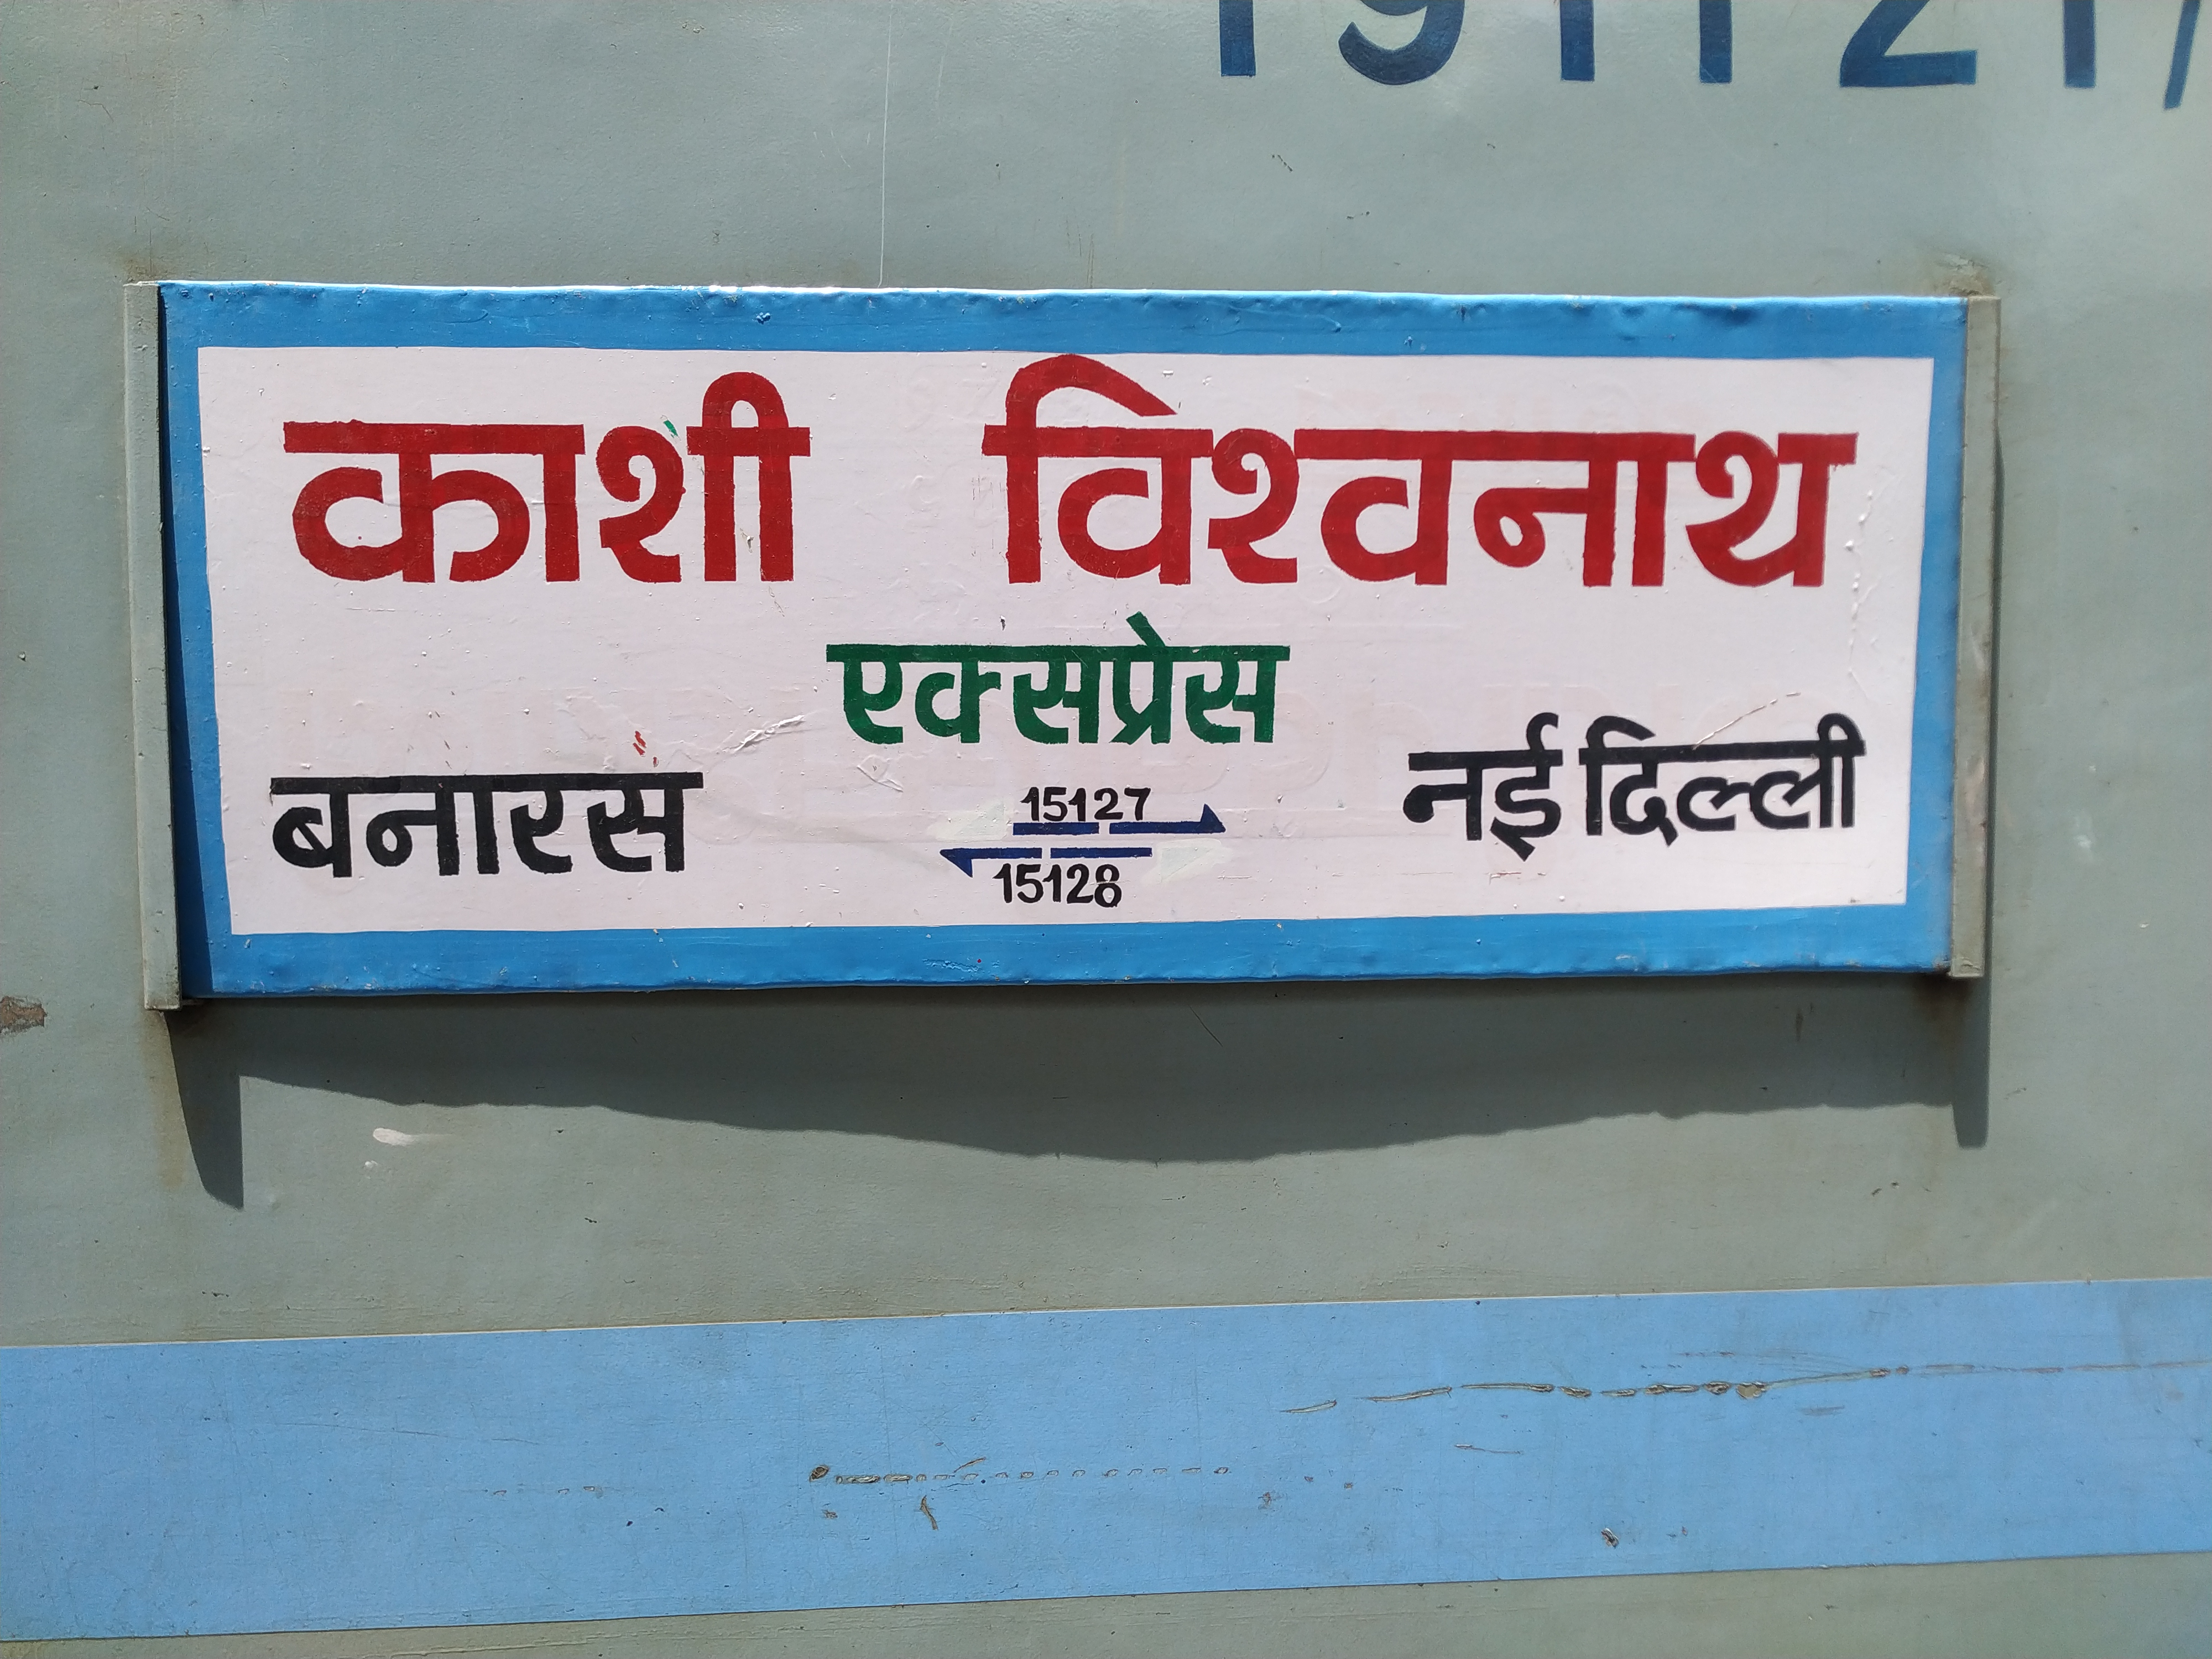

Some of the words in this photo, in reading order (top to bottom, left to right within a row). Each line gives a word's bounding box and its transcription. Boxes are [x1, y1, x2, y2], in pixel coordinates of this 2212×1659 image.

[281, 364, 817, 593] काशी
[981, 342, 1863, 596] विश्वनाथ
[825, 607, 1294, 751] एक्सप्रेस
[269, 768, 708, 884] बनारस
[992, 859, 1127, 909] 15128
[1021, 782, 1155, 827] 15127
[1400, 708, 1568, 863] नई
[1576, 705, 1870, 855] दिल्ली